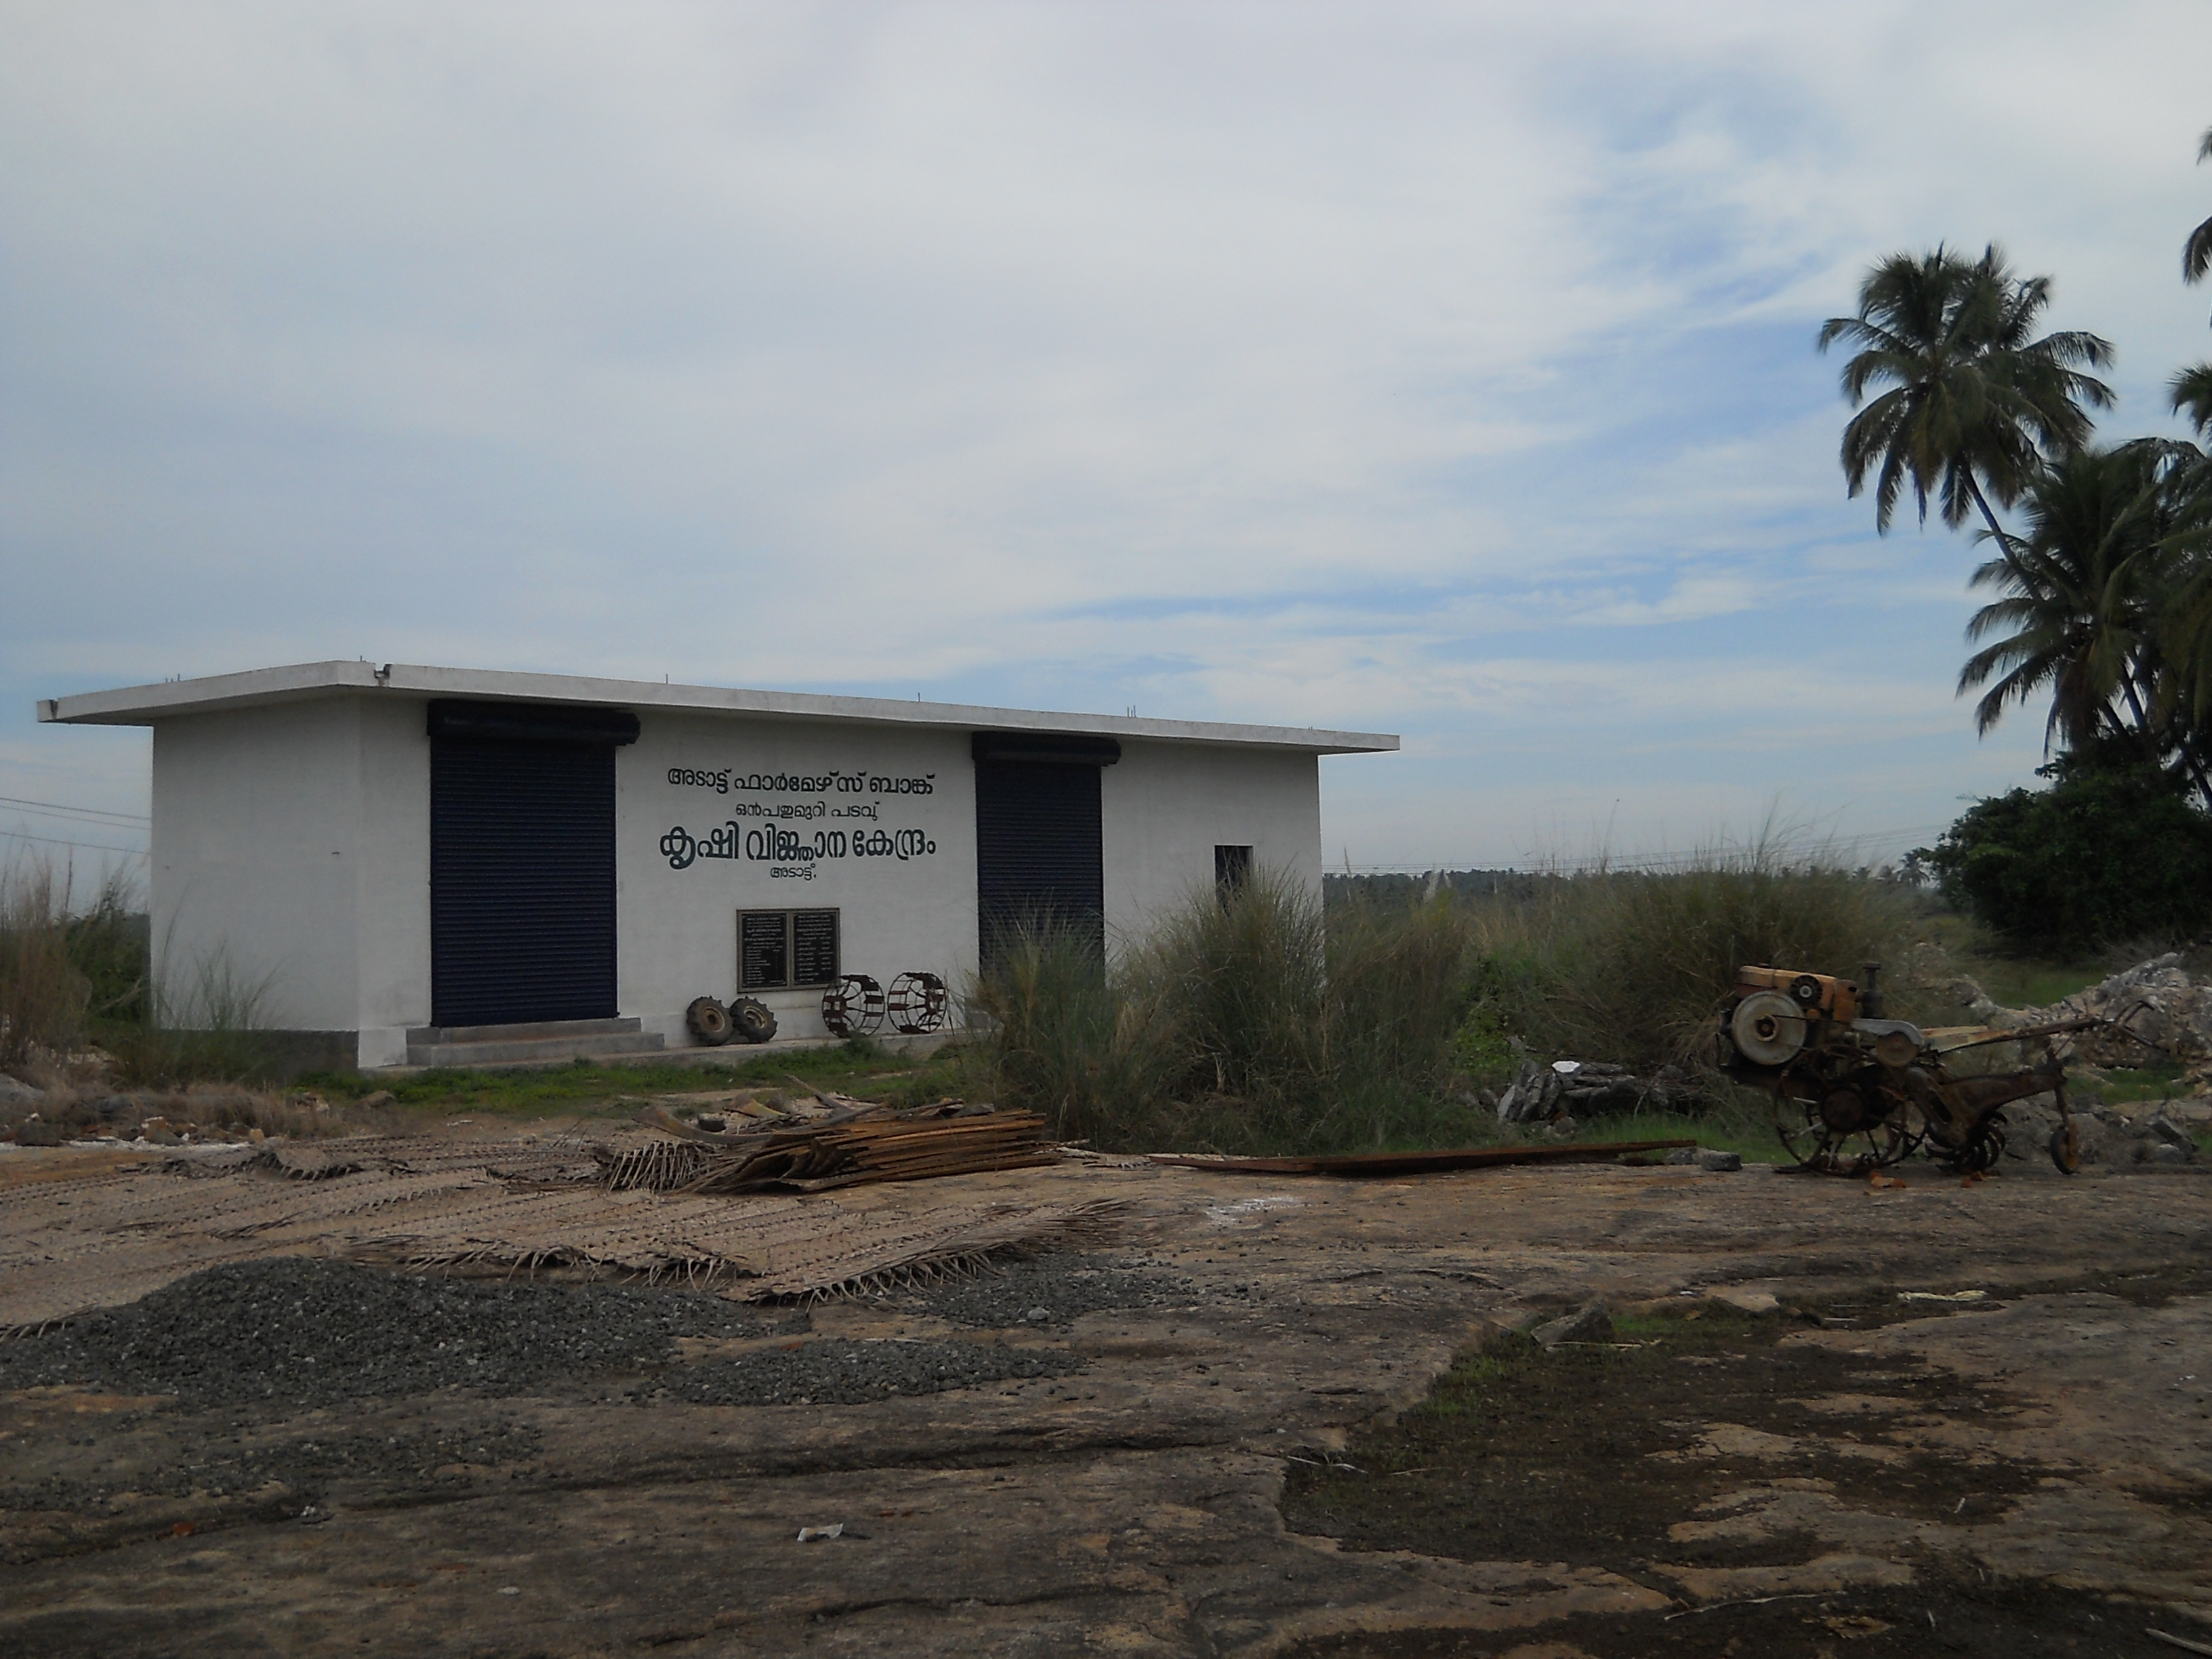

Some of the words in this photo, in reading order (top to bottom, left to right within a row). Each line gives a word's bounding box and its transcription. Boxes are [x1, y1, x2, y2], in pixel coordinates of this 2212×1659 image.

[661, 763, 736, 798] അടാട്ട്
[733, 769, 869, 796] ഫാർമേഴ്‌സ്
[866, 770, 939, 796] ബാങ്ക്
[729, 797, 827, 822] ഒൻ‌പഇമുറി
[829, 796, 882, 826] പടവു്
[654, 819, 743, 873] കൃഷി
[743, 815, 849, 863] വിജ്ഞാന
[849, 825, 941, 865] കേന്ദ്രം
[766, 859, 821, 886] അടാട്ട്